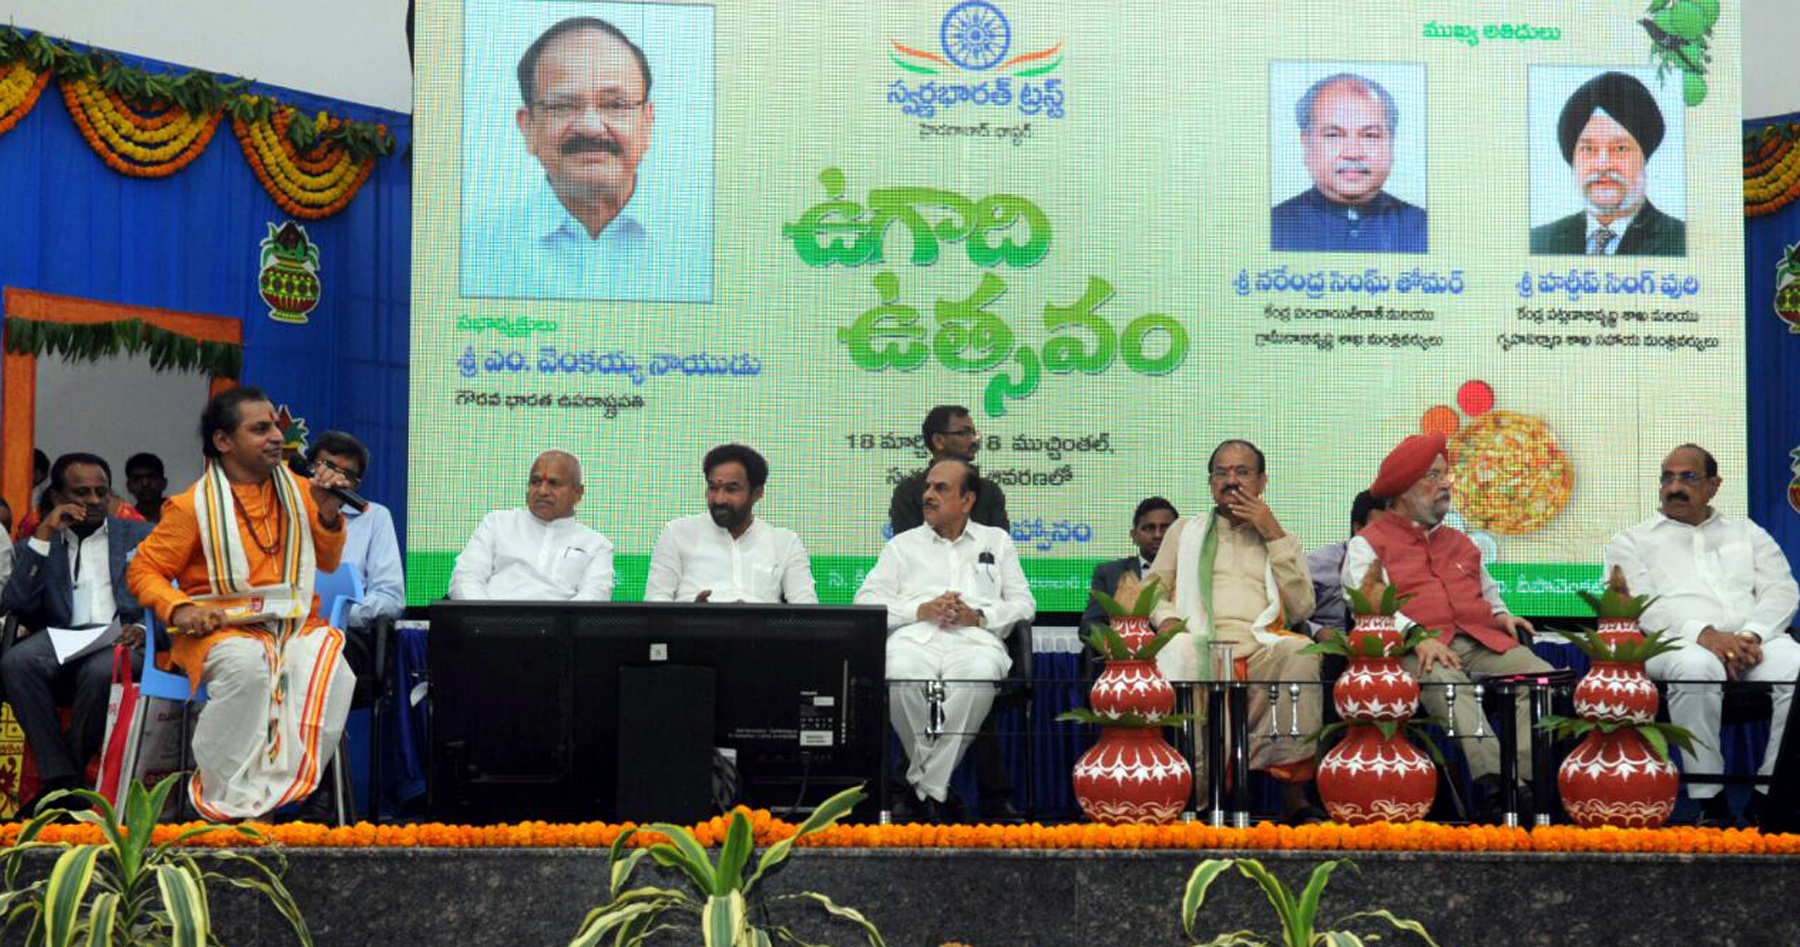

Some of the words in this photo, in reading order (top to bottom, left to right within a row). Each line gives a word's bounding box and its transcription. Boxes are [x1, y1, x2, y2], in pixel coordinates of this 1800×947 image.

[1412, 13, 1486, 55] ముఖ్య
[1477, 17, 1567, 47] అతిథులు
[881, 75, 1016, 125] స్వర్ణభారత్
[1016, 71, 1070, 125] ట్రస్ట్
[766, 153, 1061, 279] ఉగాది
[1227, 259, 1331, 307] శ్రీ నరేంద్ర
[1322, 264, 1397, 303] సింఘ్
[1392, 267, 1470, 300] తోమర్
[1510, 266, 1607, 308] శ్రీ హర్డీప్
[1600, 263, 1702, 304] సింగ్ పురి
[446, 340, 538, 383] శ్రీ ఎం.
[530, 340, 650, 387] వెంకయ్య
[645, 345, 768, 382] నాయుడు
[832, 261, 1206, 434] ఉత్సవం
[449, 385, 560, 415] గౌరవ భారత
[1005, 429, 1117, 467] ముచ్చింతల్,
[982, 457, 1083, 489] ఆవరణలో